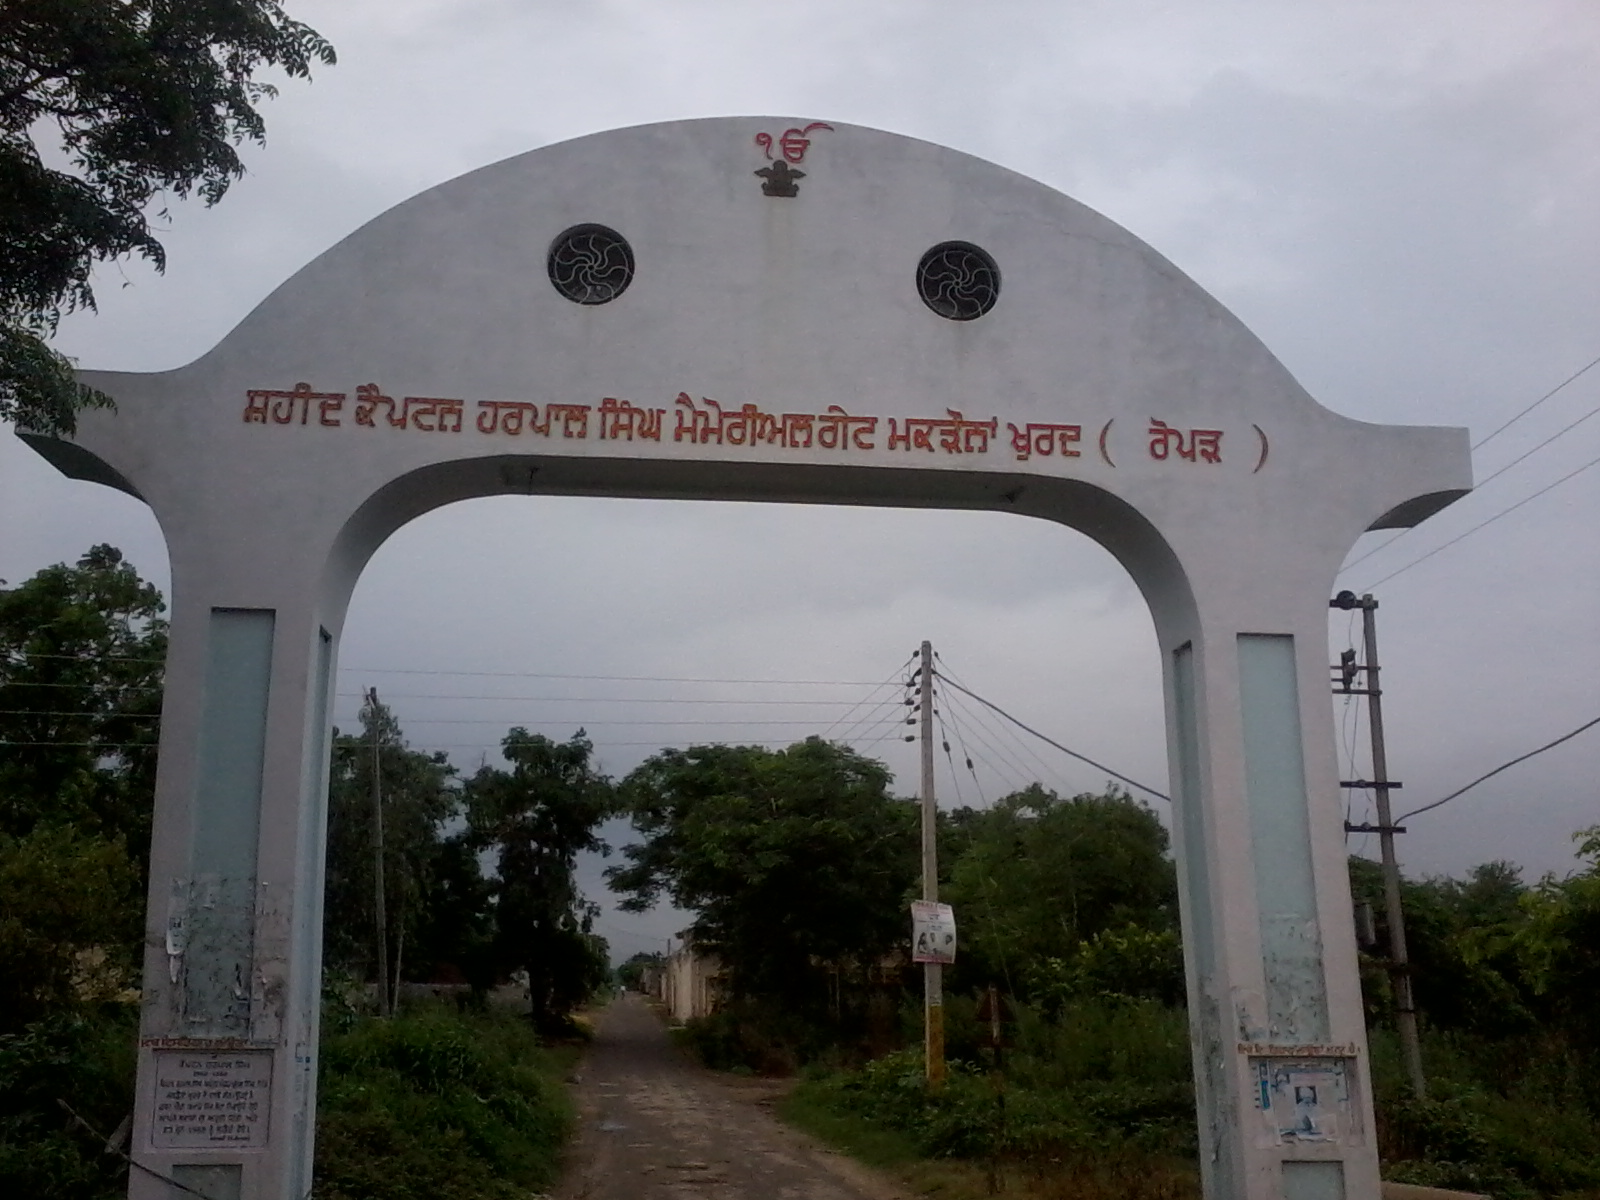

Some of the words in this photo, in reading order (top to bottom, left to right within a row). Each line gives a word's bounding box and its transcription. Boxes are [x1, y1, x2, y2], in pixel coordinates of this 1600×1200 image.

[232, 380, 353, 439] ਸ਼ਹੀਦ
[349, 373, 472, 441] ਕੌਂਪਟਨ
[467, 389, 594, 446] ਹਰਪਾਲ
[590, 389, 671, 446] ਸਿੰਘ
[666, 388, 883, 458] ਮੈਮੇਰੀਅਲਗੇਟ
[883, 402, 1003, 459] ਮਕੜੌਨਾਂ
[999, 410, 1091, 468] ਖੁਰਦ
[1124, 402, 1234, 474] ਰੋਪੜ